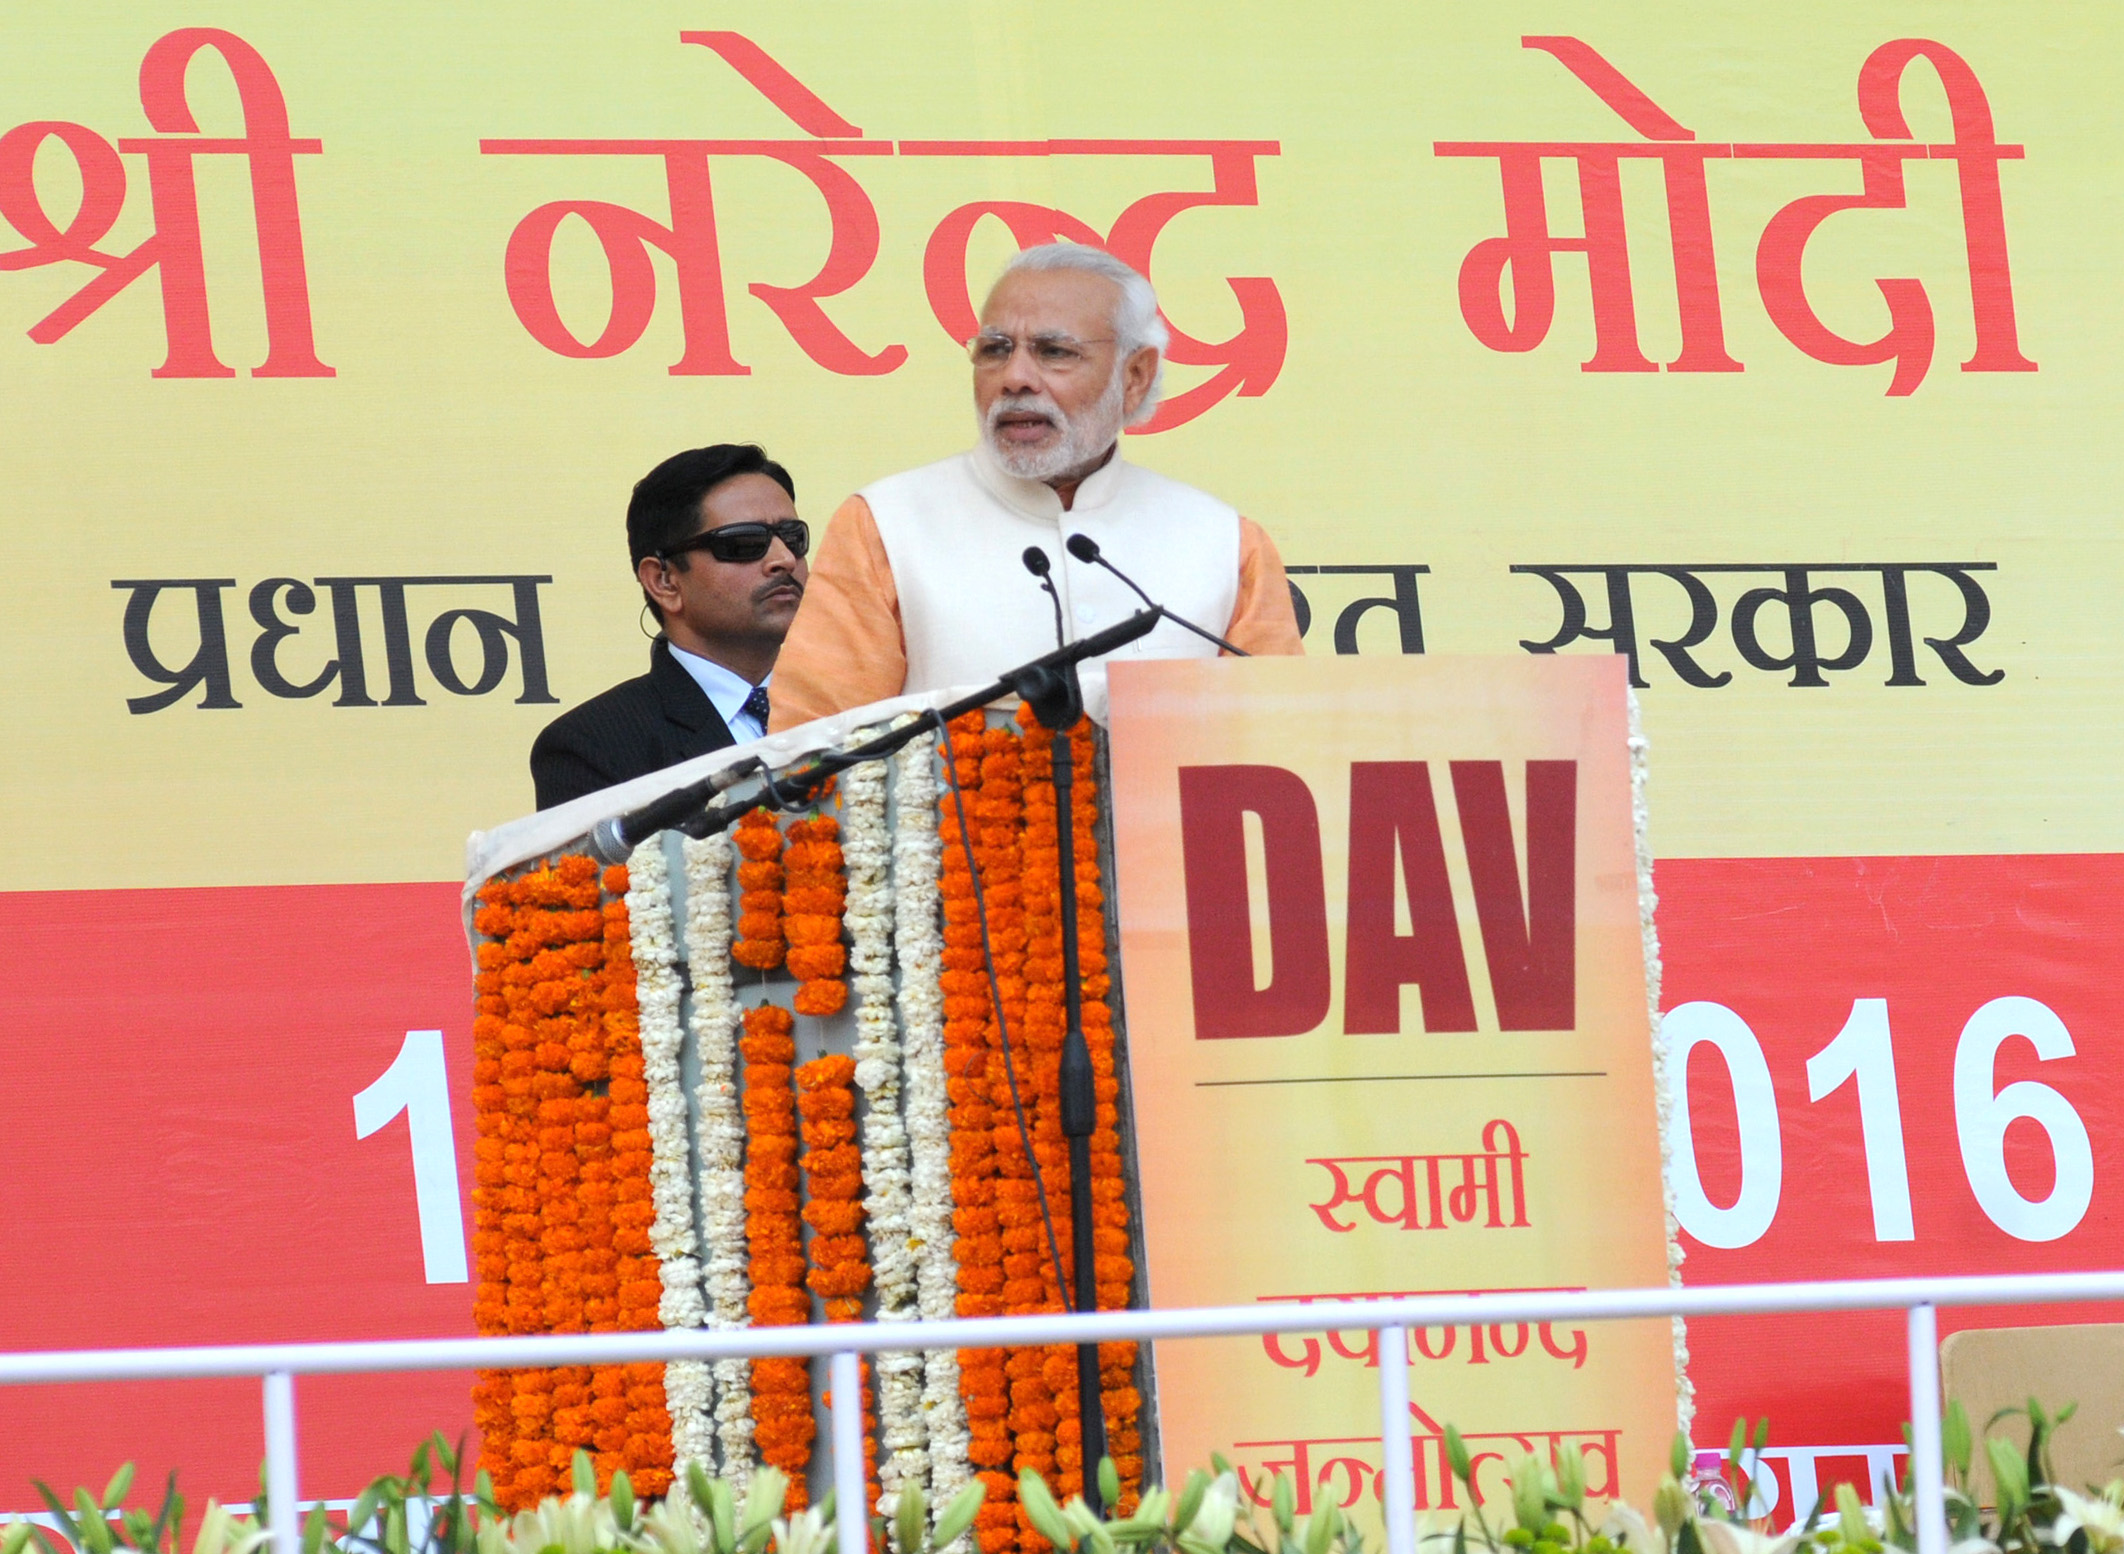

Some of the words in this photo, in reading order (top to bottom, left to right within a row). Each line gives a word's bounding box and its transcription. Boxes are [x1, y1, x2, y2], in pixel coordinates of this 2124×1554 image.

[0, 0, 373, 410] श्री
[479, 25, 1296, 453] नरेन्द्र
[1408, 6, 2076, 433] मोदी
[113, 565, 564, 725] प्रधान
[1507, 557, 2011, 700] सरकार
[1141, 722, 1620, 1079] DAV
[1307, 1111, 1535, 1239] स्वामी
[1630, 967, 2118, 1277] 016
[1251, 1282, 1596, 1388] दयानन्द
[1233, 1393, 1631, 1531] जन्मोत्सव